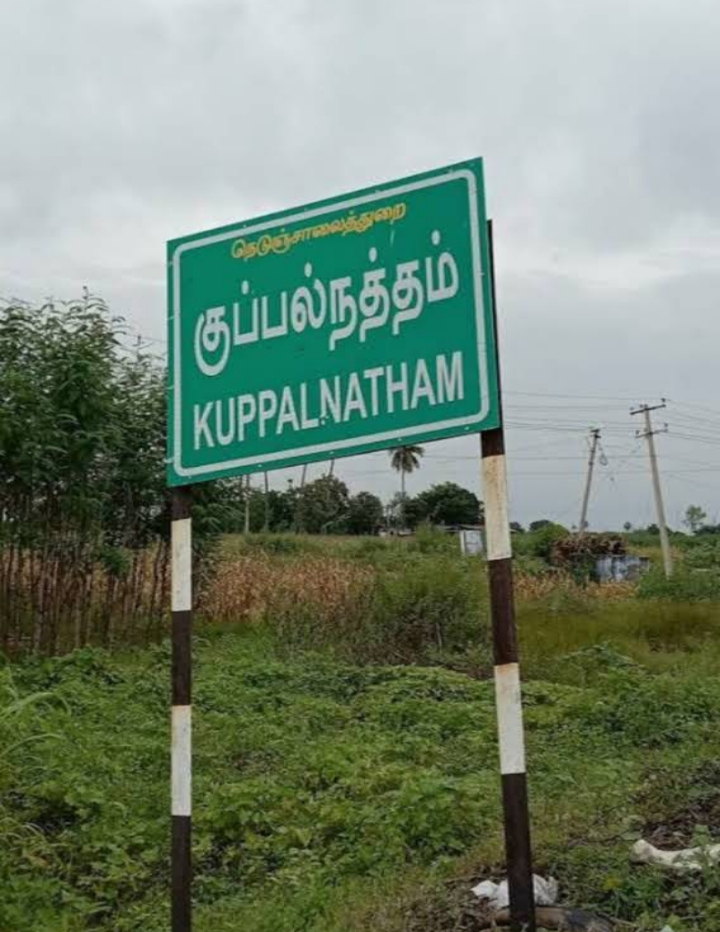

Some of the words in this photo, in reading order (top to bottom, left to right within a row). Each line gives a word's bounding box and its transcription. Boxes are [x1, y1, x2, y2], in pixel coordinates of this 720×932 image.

[222, 197, 413, 265] நெடுஞ்சாலைத்துறை
[189, 227, 467, 384] குப்பல்நத்தம்
[189, 346, 468, 455] KUPPALNATHAM